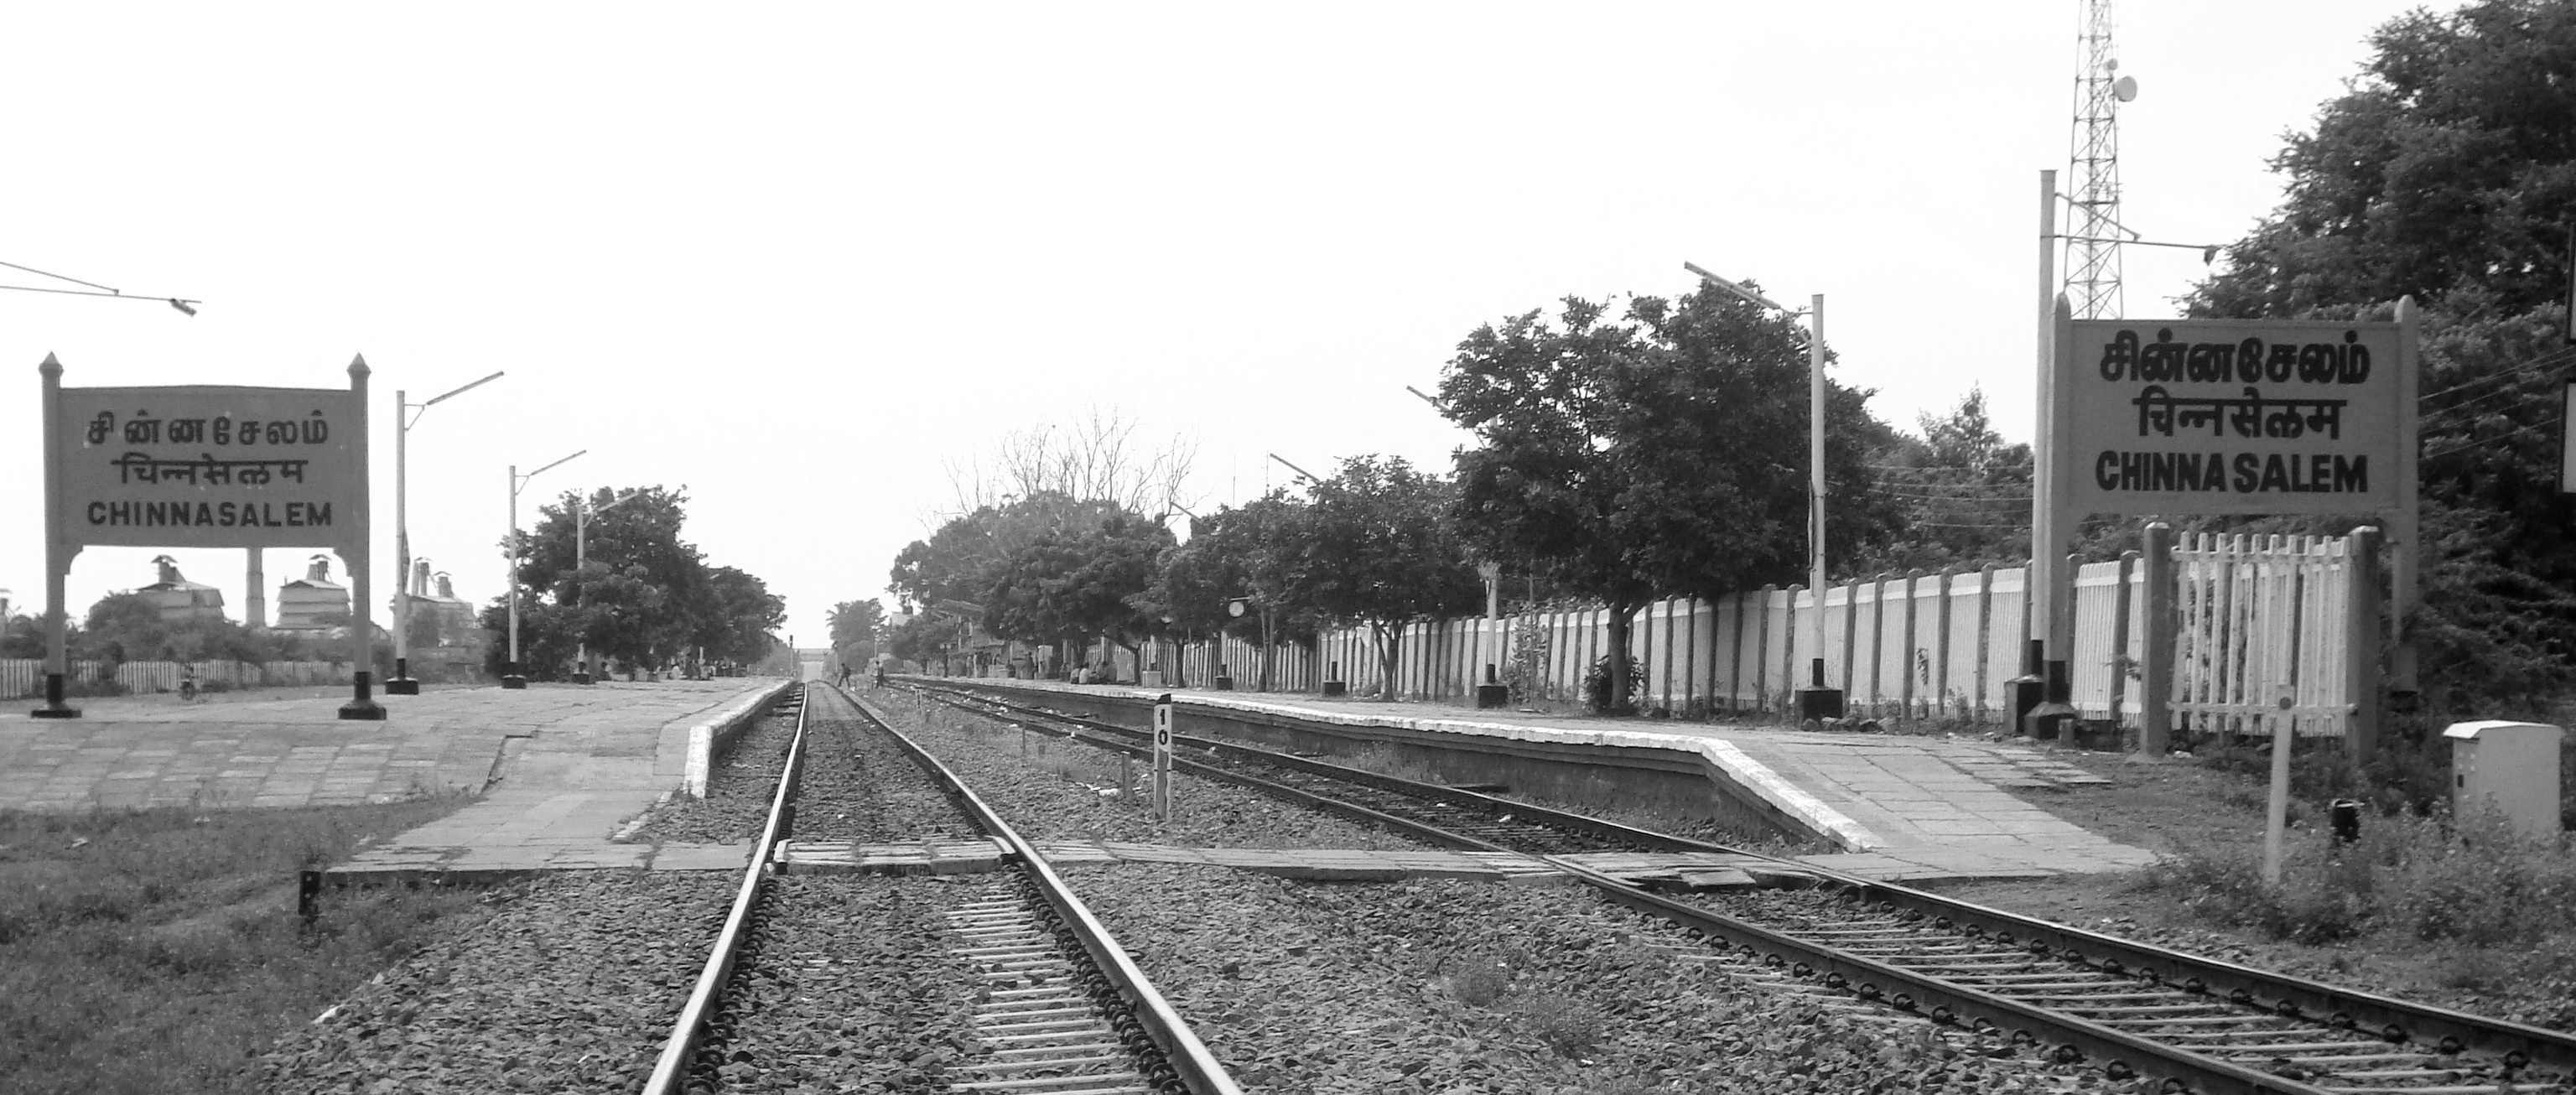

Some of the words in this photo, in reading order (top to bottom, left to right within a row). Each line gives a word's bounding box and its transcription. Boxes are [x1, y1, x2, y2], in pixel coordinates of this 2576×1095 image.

[2095, 317, 2377, 388] சின்னசேலம்
[77, 400, 334, 447] சின்னசேலம்
[2124, 378, 2351, 441] चिन्नसेळम
[104, 444, 310, 486] चिन्नसेलम
[2090, 447, 2370, 496] CHINNASALEM
[84, 495, 335, 531] CHINNASALEM